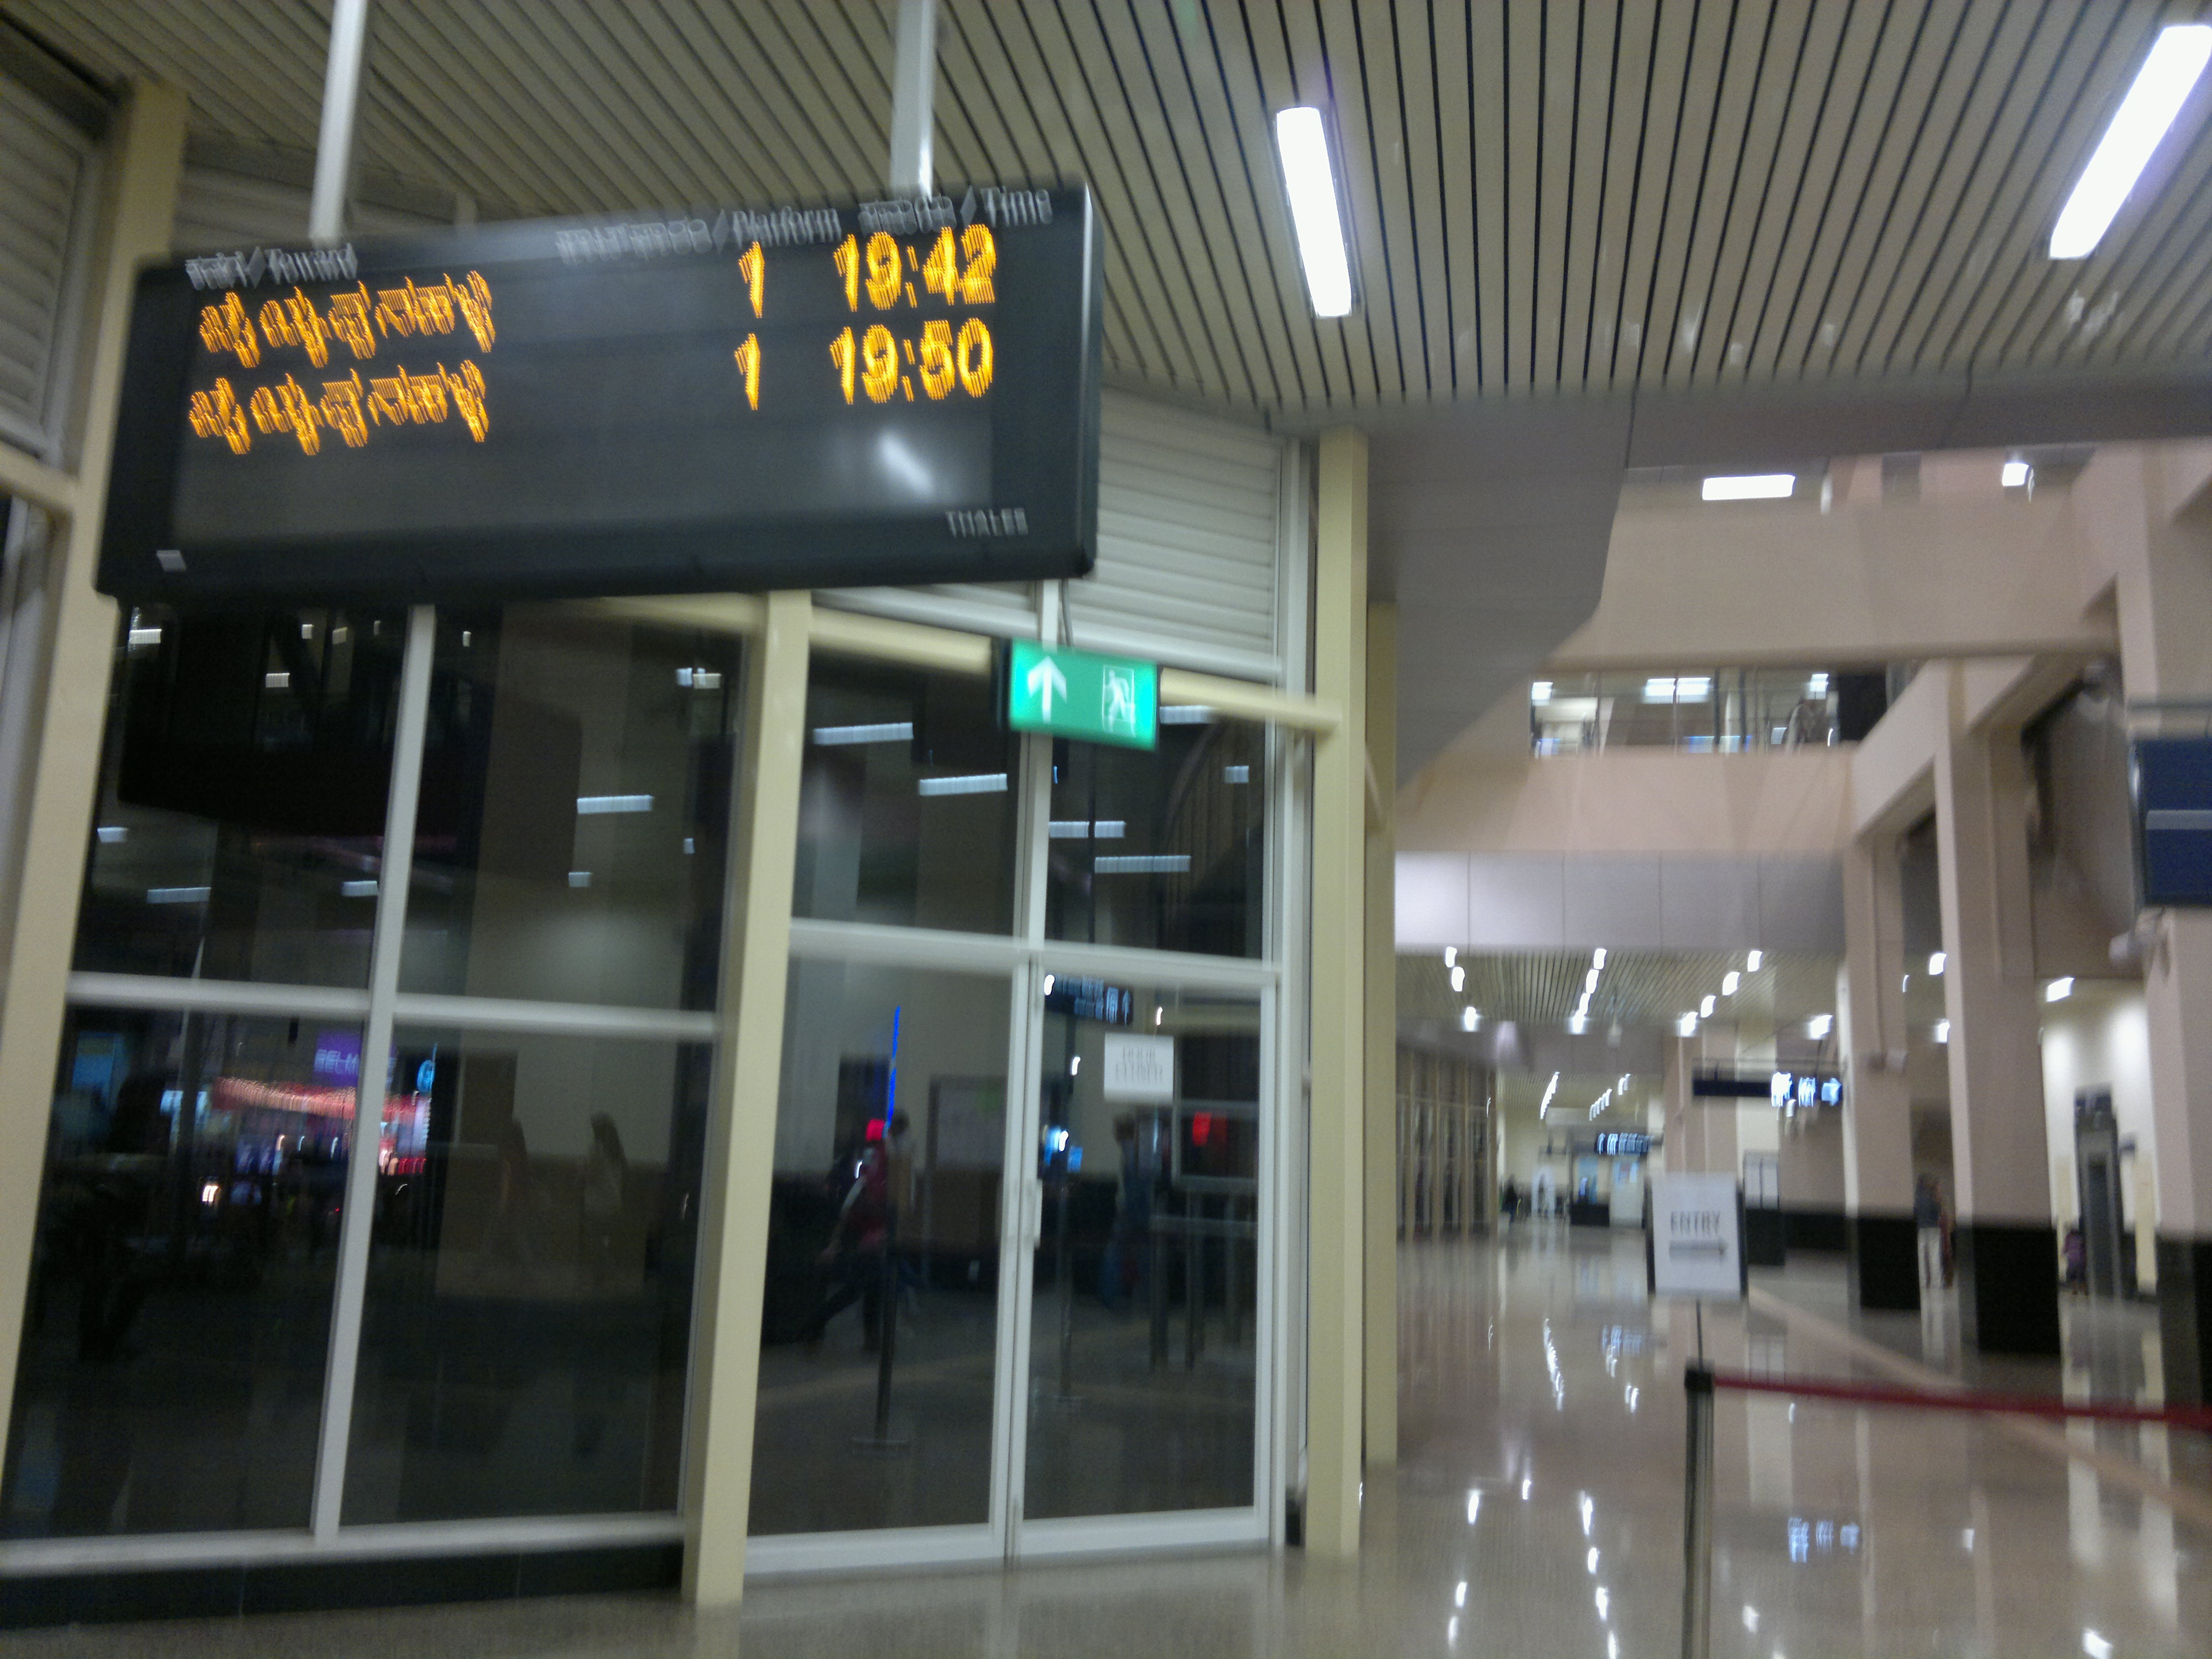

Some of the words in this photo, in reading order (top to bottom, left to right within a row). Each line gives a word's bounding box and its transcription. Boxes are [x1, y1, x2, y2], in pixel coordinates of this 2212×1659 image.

[724, 190, 851, 256] Platform
[854, 191, 962, 242] ಸಮಯ
[975, 179, 1061, 233] Time
[172, 241, 255, 299] ಕಡಗ
[260, 242, 364, 289] Towand
[825, 217, 997, 323] 19:42
[193, 264, 497, 372] ಚೈಯ್ಯಪ್ಪನಹಳ್ಳಿ
[831, 311, 994, 408] 19:50
[185, 354, 492, 465] ಬೈಯ್ಯಪ್ಪನಹಳ್ಳಿ